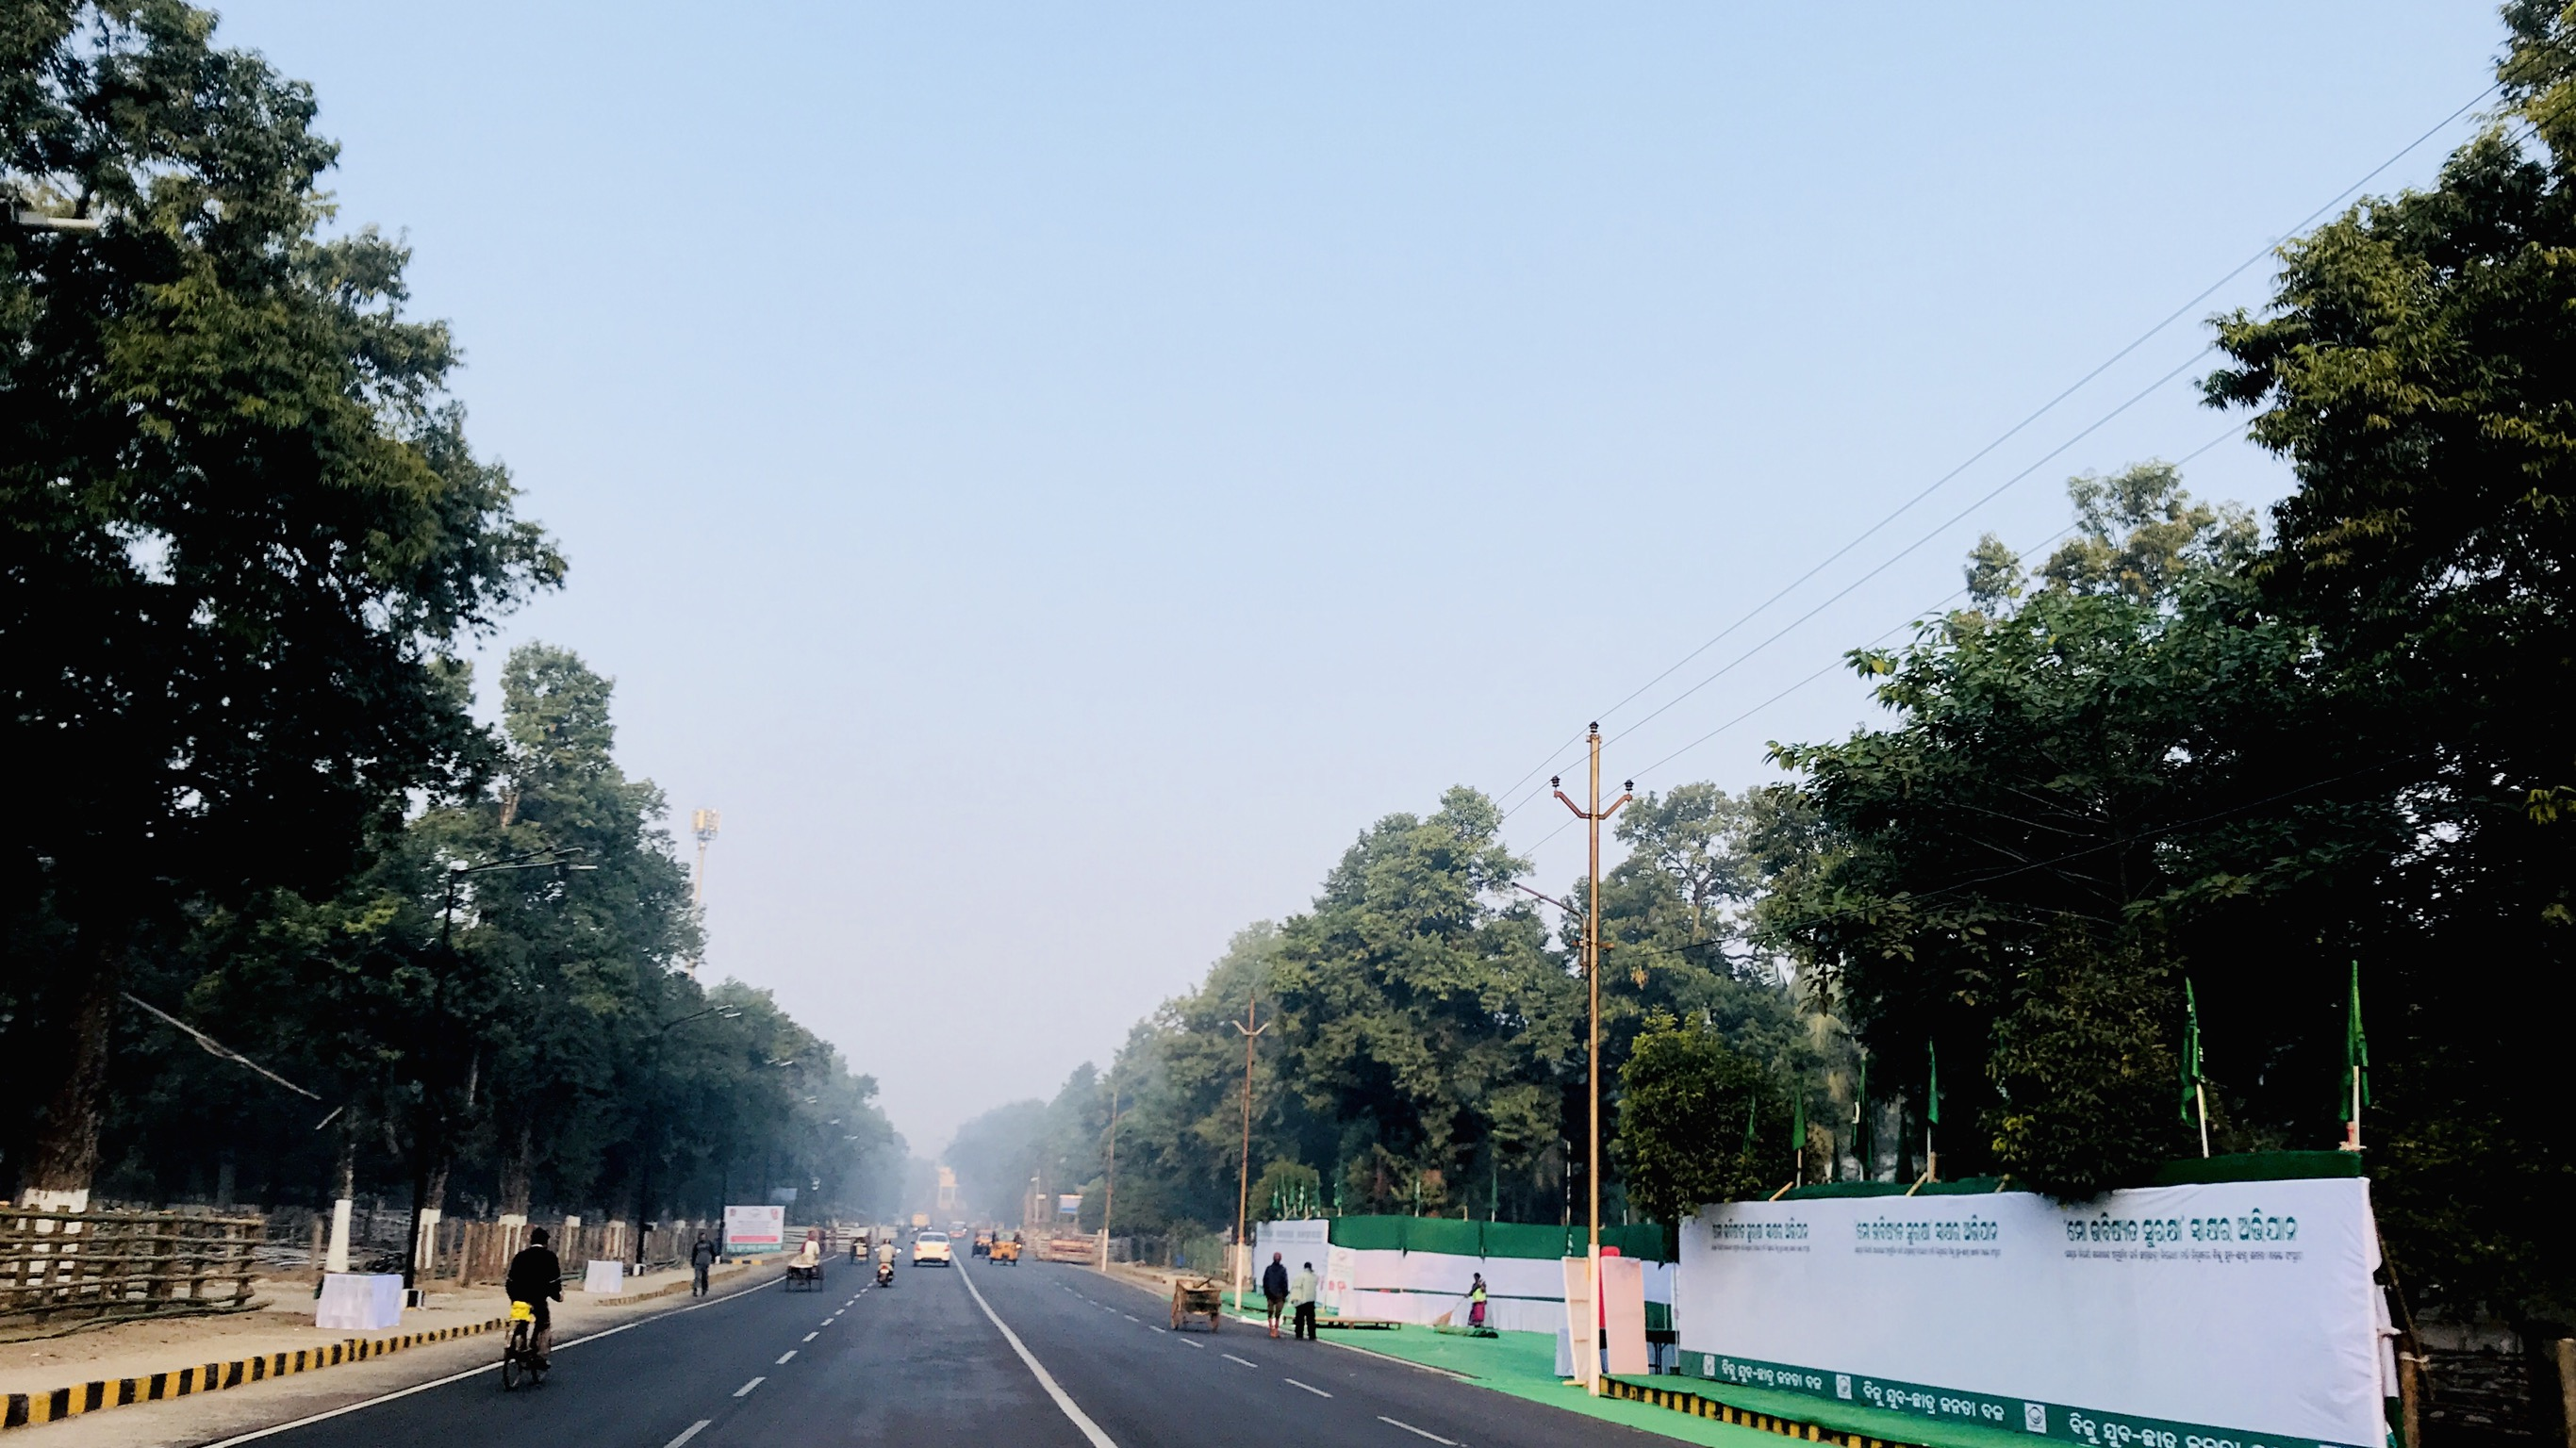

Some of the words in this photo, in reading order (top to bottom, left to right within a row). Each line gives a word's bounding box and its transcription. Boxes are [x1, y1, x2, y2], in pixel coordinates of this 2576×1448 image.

[1706, 1211, 1747, 1241] ଭବିଷ୍ୟତ
[1740, 1220, 1768, 1245] ମୋ
[1777, 1211, 1813, 1242] ଅଭିଯାନ
[1851, 1210, 1906, 1242] ଭବିଷ୍ୟତ
[1901, 1217, 1933, 1250] ସୁରକ୍ଷା'
[1932, 1215, 1962, 1244] ସାକ୍ଷର
[1955, 1206, 2006, 1244] ଅଭିଯାନ
[2059, 1206, 2140, 1245] ମୋ ଭବିଷ୍ୟତ
[2139, 1215, 2187, 1249] ସୁରକ୍ଷା'
[2187, 1210, 2237, 1242] ସାକ୍ଷର
[2234, 1200, 2302, 1247] ଅଭିଯାନ
[1713, 1349, 1779, 1392] ବିଜୁ ଯୁବ-ଛାତ୍ର କ
[1770, 1366, 1805, 1390] ଜନତା
[1801, 1370, 1825, 1394] ଦଳ
[1857, 1375, 1939, 1418] ବିଜୁ ଯୁବ-ଛାତ୍ର
[1933, 1393, 1981, 1420] ଜନତା
[1978, 1400, 2008, 1423] ଦଳ
[2062, 1409, 2181, 1447] ବିଜୁ ଯୁବ-ଛାତ୍ର